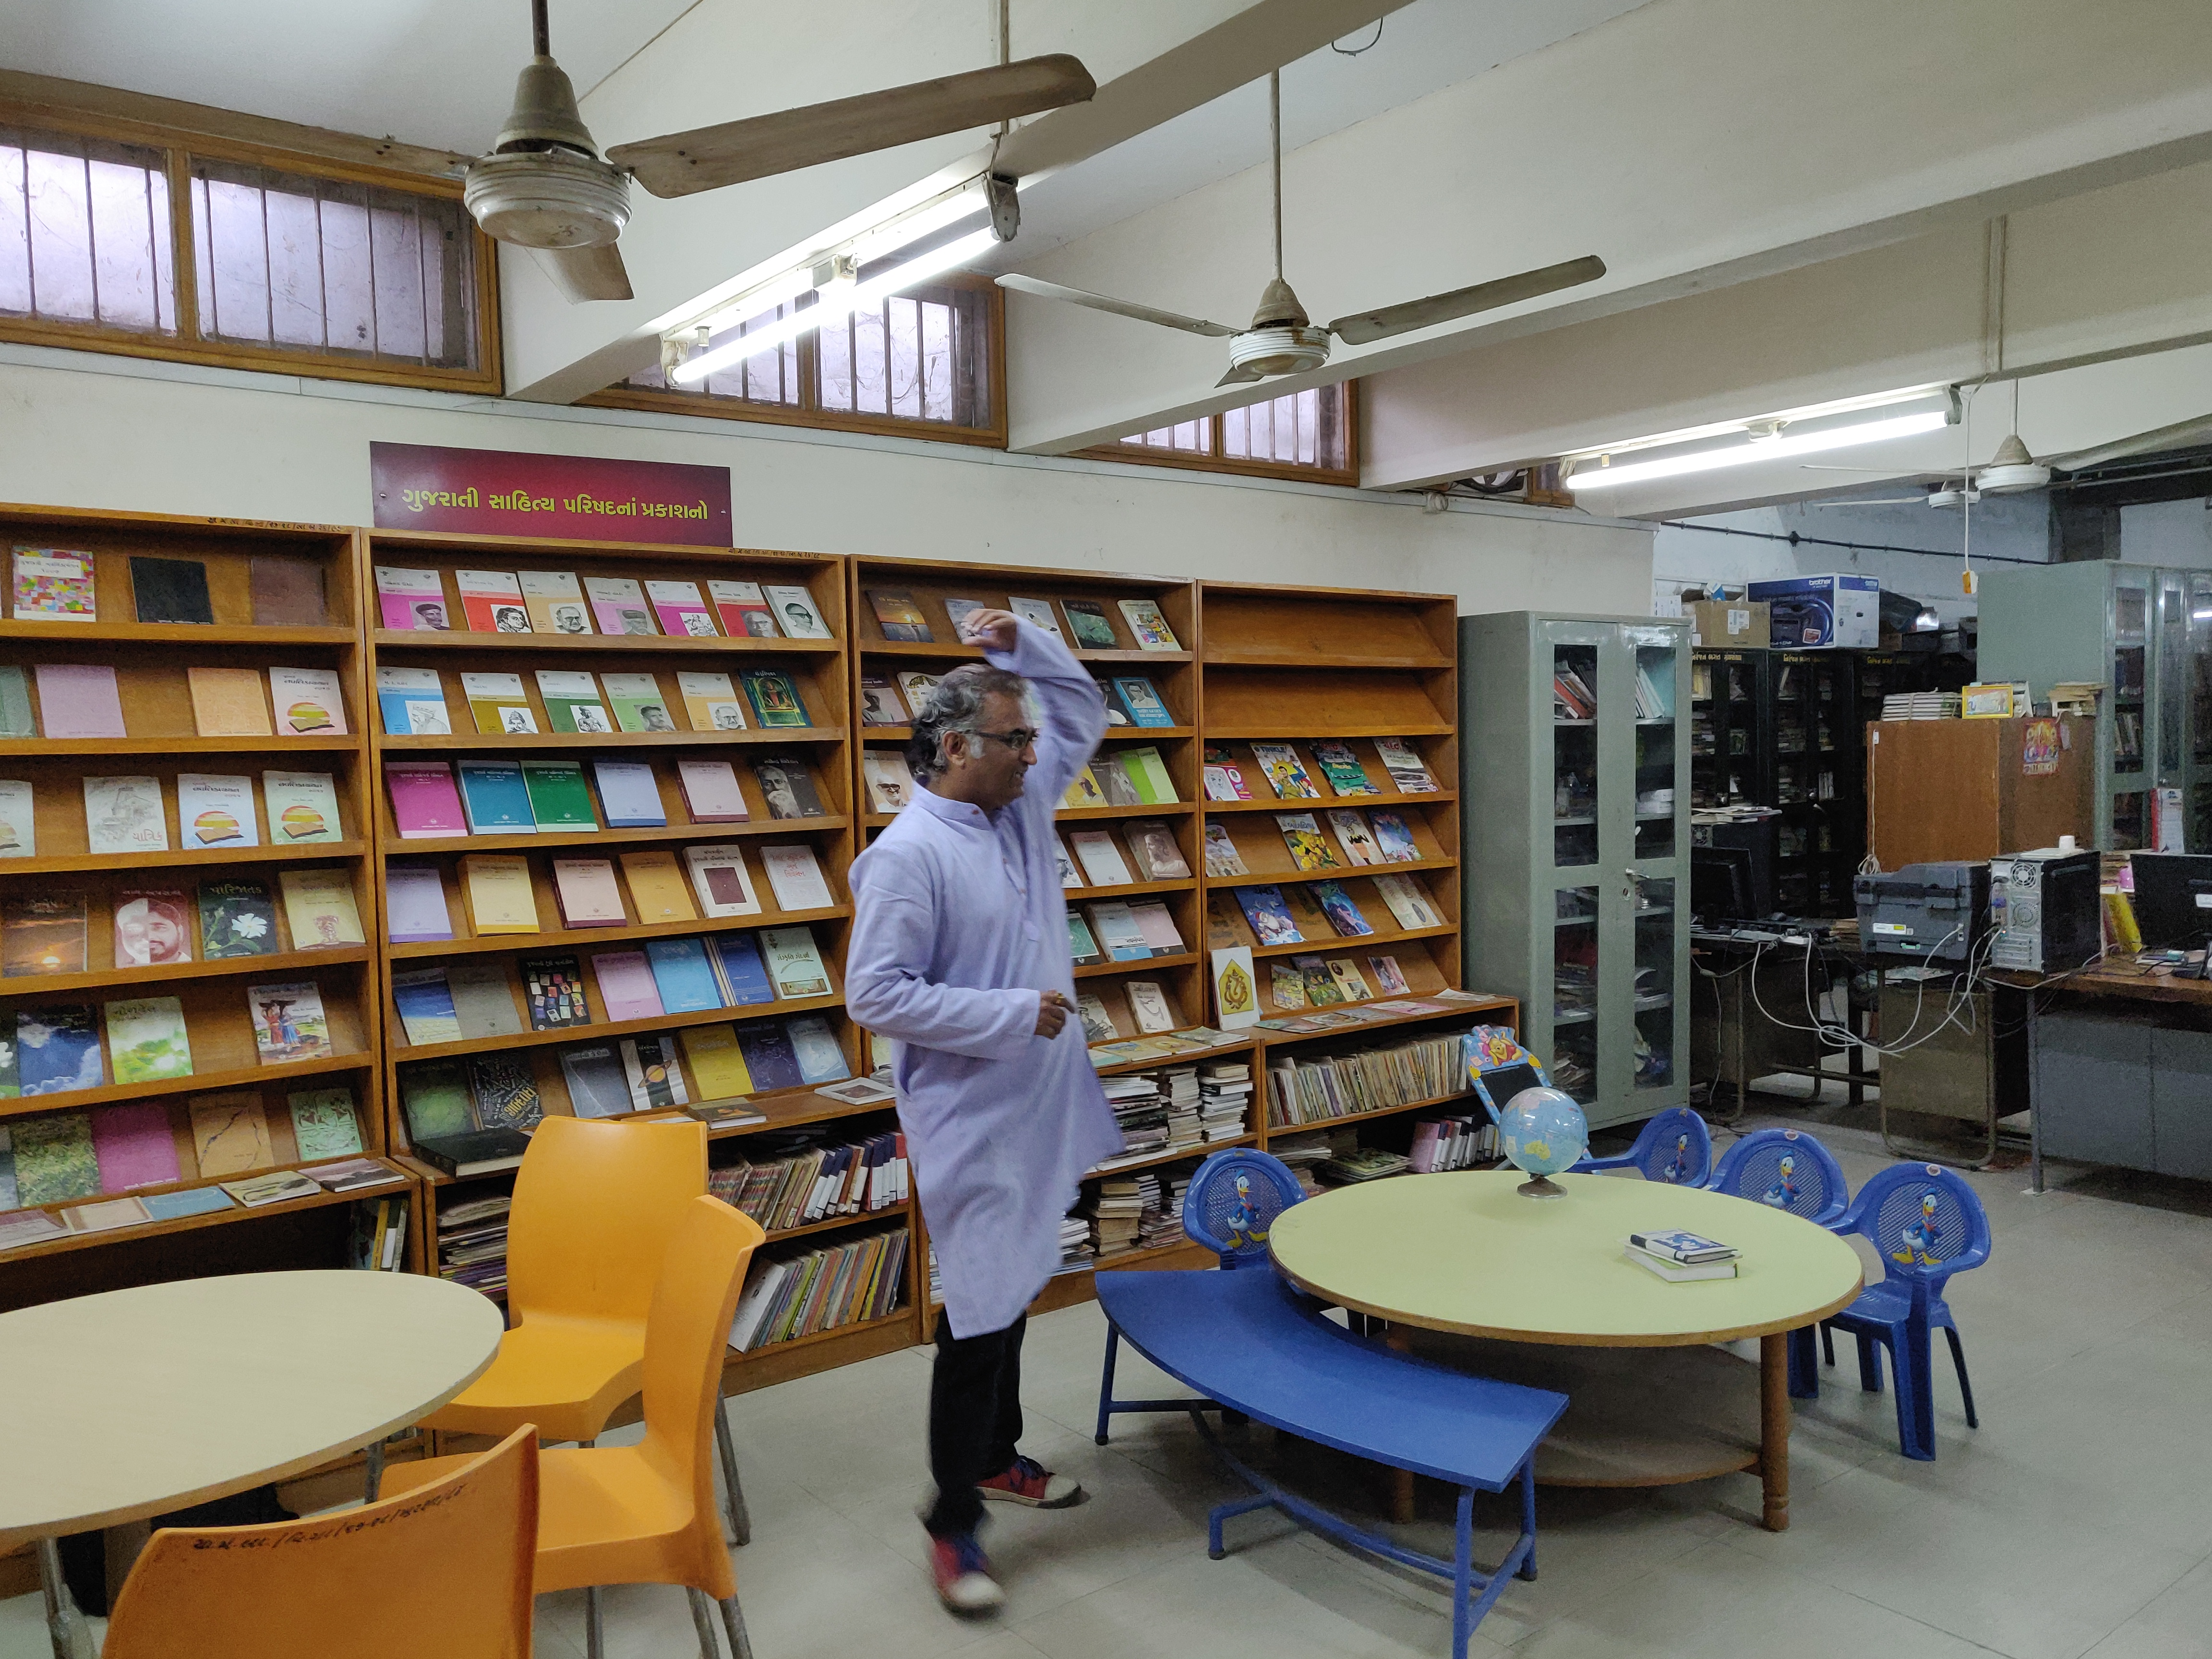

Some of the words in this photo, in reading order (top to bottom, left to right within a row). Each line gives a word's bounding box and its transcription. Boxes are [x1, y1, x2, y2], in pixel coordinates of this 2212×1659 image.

[397, 481, 485, 517] ગુજરાતી
[488, 487, 557, 516] સાહિત્ય
[561, 490, 638, 519] પરિષદનાં
[637, 495, 717, 526] પ્રકાશનો